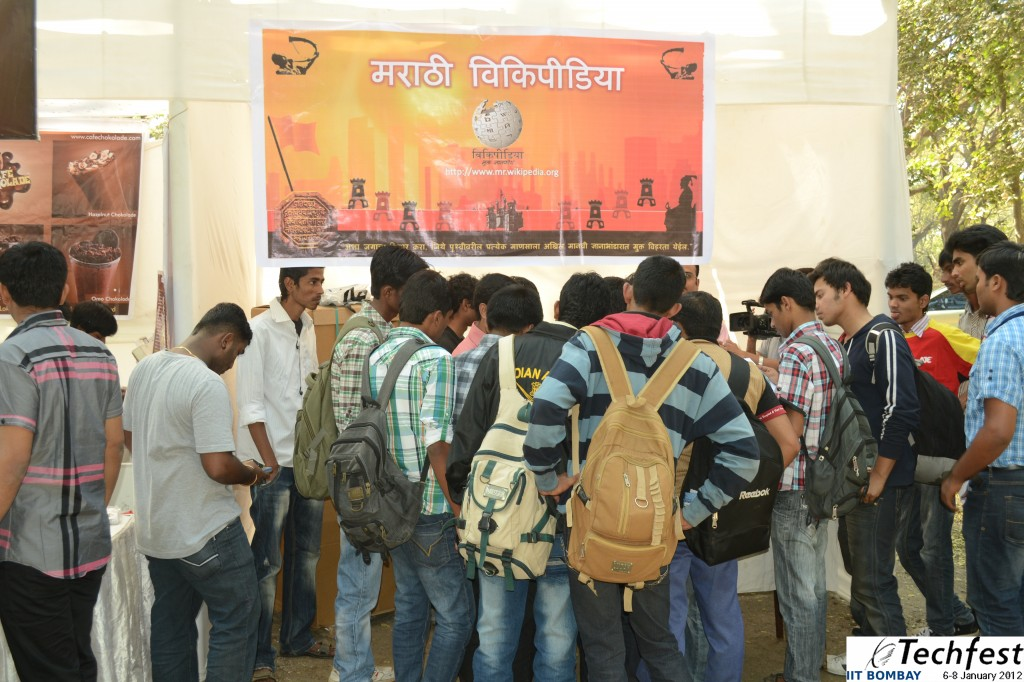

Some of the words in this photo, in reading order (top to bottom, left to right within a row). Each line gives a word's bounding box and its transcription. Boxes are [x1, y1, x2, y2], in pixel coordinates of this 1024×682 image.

[366, 50, 453, 93] मराठी
[461, 49, 628, 98] विकिपीडिया
[468, 142, 529, 163] विकिपीडिया
[442, 166, 563, 183] http://www.mr.wikipedia.org
[446, 237, 484, 255] पृथ्वीवरील
[485, 234, 509, 254] प्रत्येक
[507, 240, 543, 255] माणसाला
[539, 236, 568, 253] अखिल
[564, 235, 591, 254] मानवी
[586, 235, 633, 255] ज्ञानामांडारात
[627, 241, 647, 257] मुक्त
[644, 237, 673, 255] विड़रता
[670, 239, 692, 255] येईस .
[897, 631, 1024, 671] Techfest
[844, 667, 866, 681] IIT
[865, 667, 924, 681] BOMBAY
[935, 667, 1024, 681] 6-8.January2012